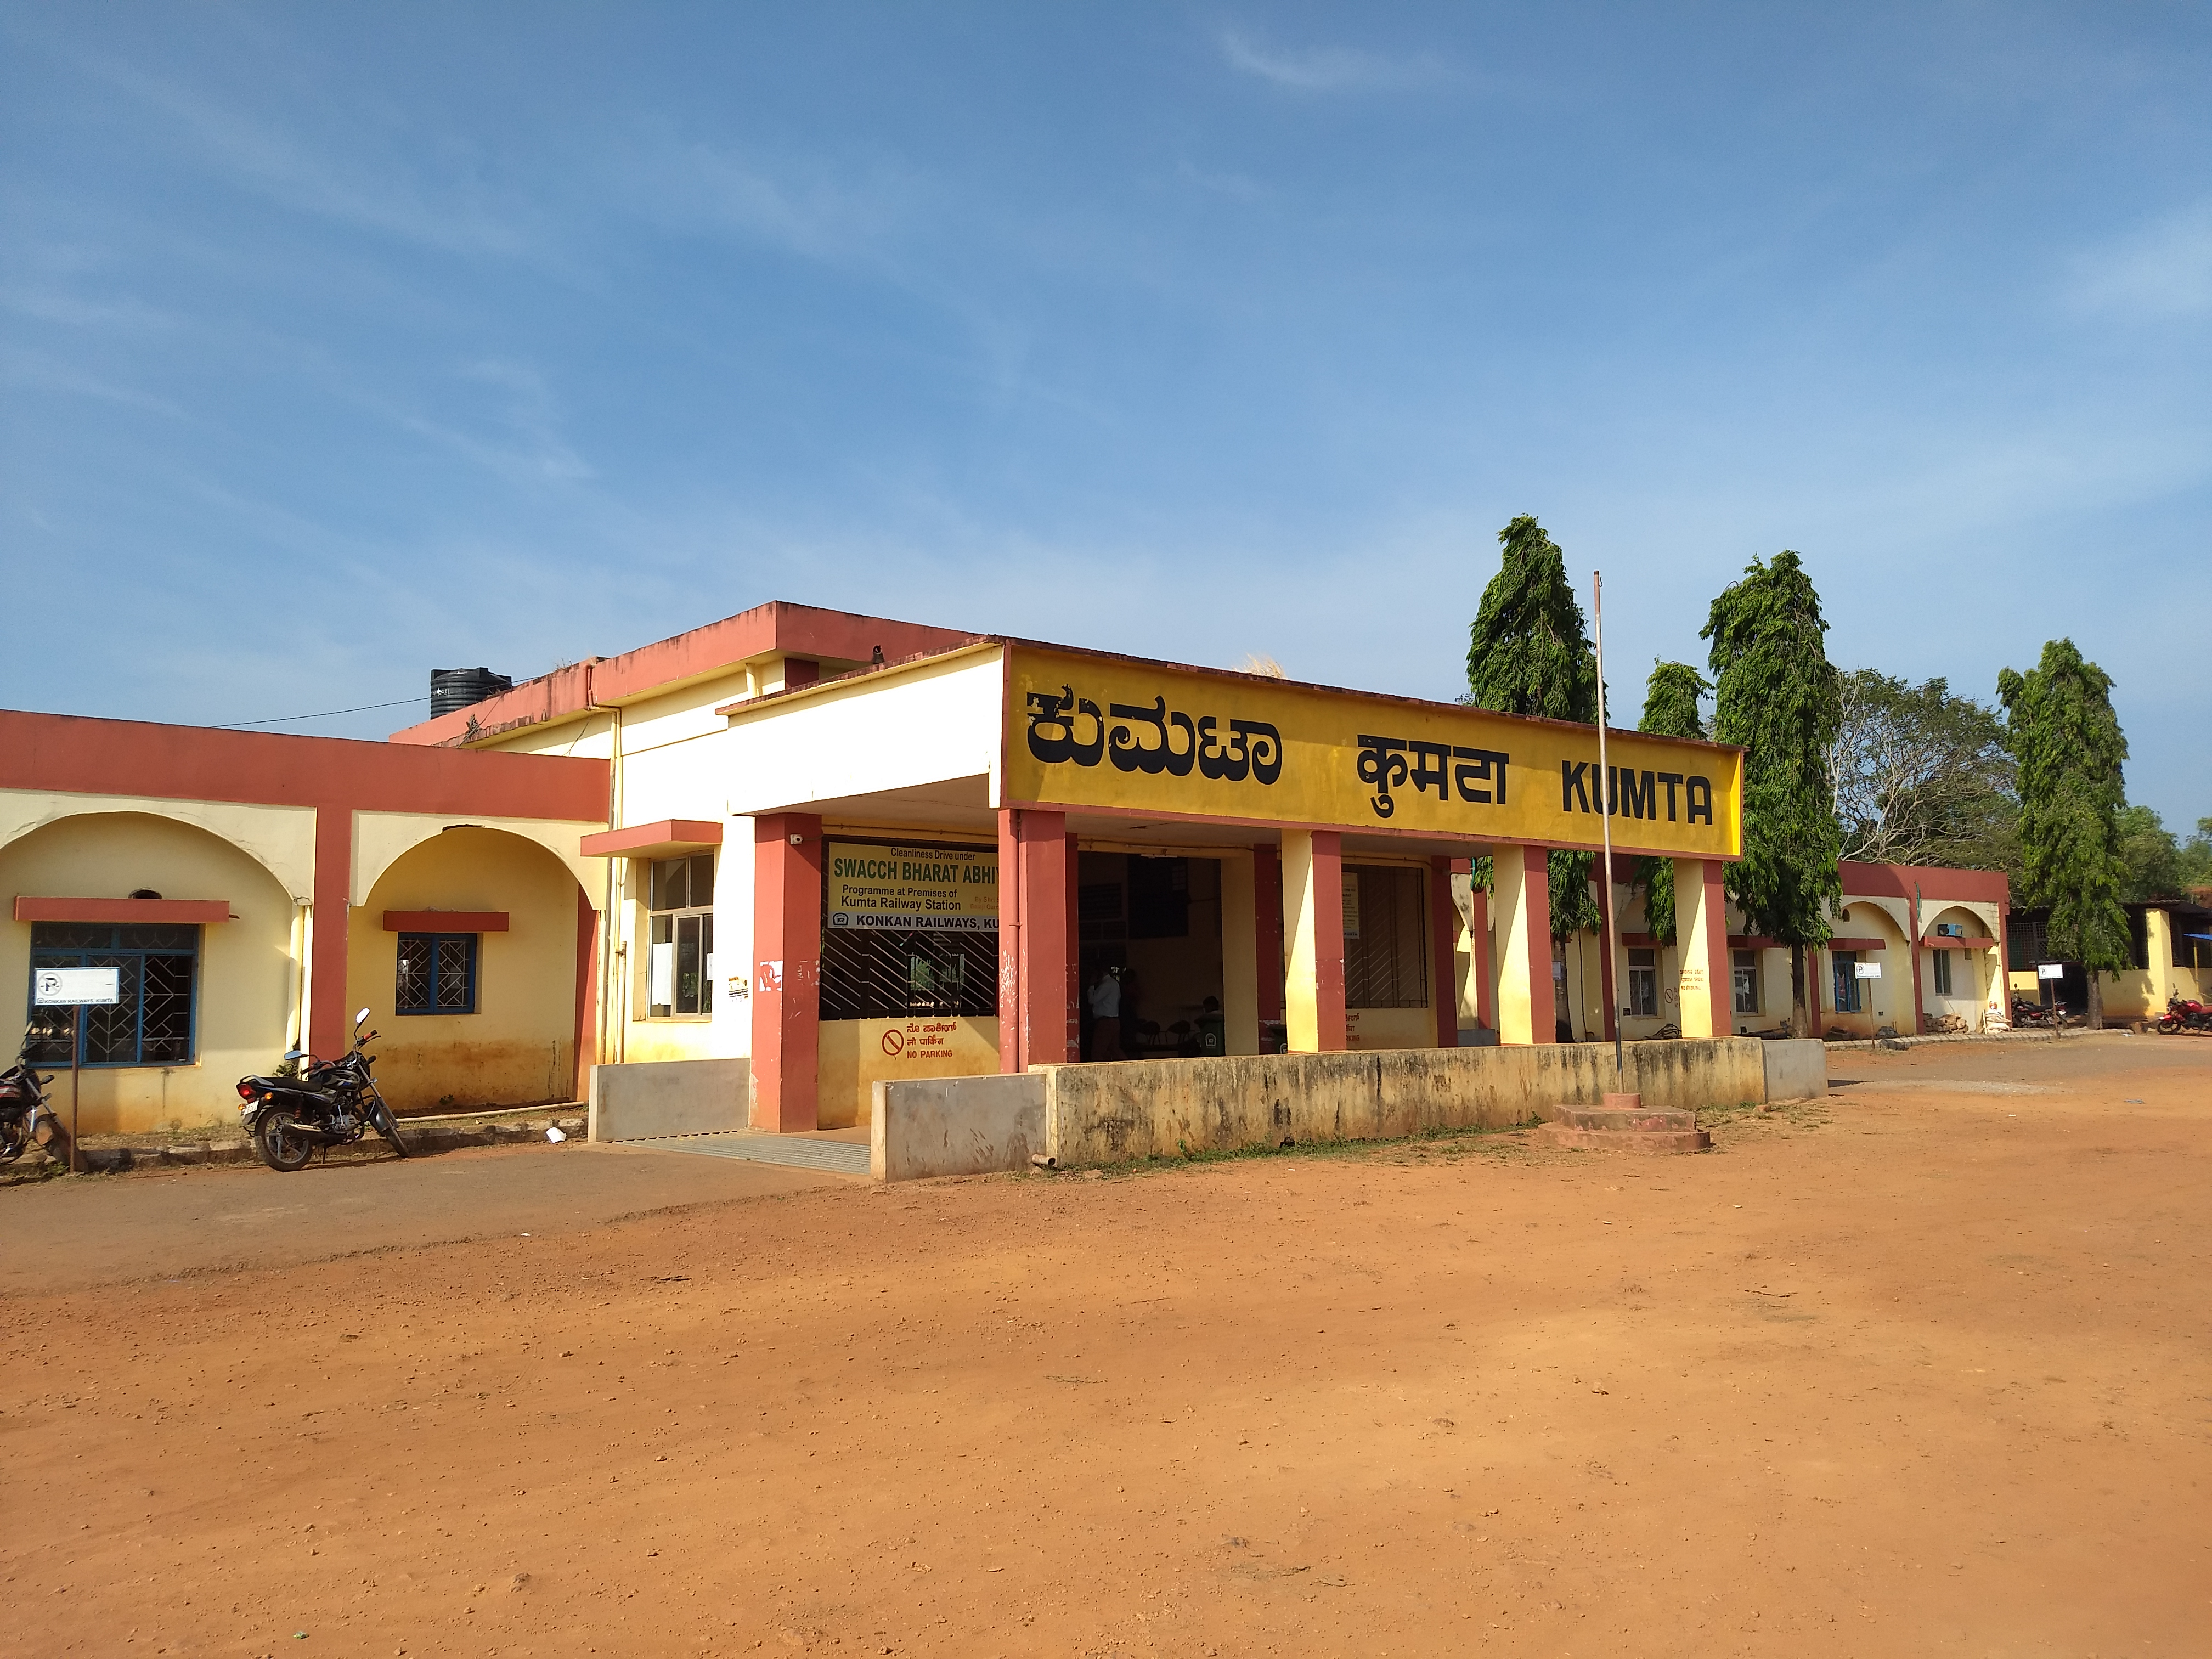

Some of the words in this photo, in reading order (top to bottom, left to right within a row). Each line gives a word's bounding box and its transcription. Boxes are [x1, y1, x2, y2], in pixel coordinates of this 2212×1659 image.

[1025, 680, 1286, 786] ಕುಮಟಾ
[1353, 731, 1511, 821] कुमटा
[1560, 753, 1716, 828] KUMTA
[887, 845, 935, 860] Cleanliness
[933, 848, 955, 862] Drive
[954, 849, 977, 862] under
[831, 853, 899, 882] SWACCH
[901, 860, 958, 885] BHARAT
[960, 862, 997, 885] ABHI
[839, 894, 879, 909] Kumta
[841, 879, 896, 898] Programme
[876, 895, 924, 913] Railway
[896, 886, 907, 898] at
[905, 885, 948, 899] Premises
[922, 894, 962, 912] Station
[945, 886, 959, 900] of
[853, 912, 913, 929] KONKAN
[915, 914, 979, 930] RAILWAYS,
[1677, 965, 1695, 977] ರೂಢ